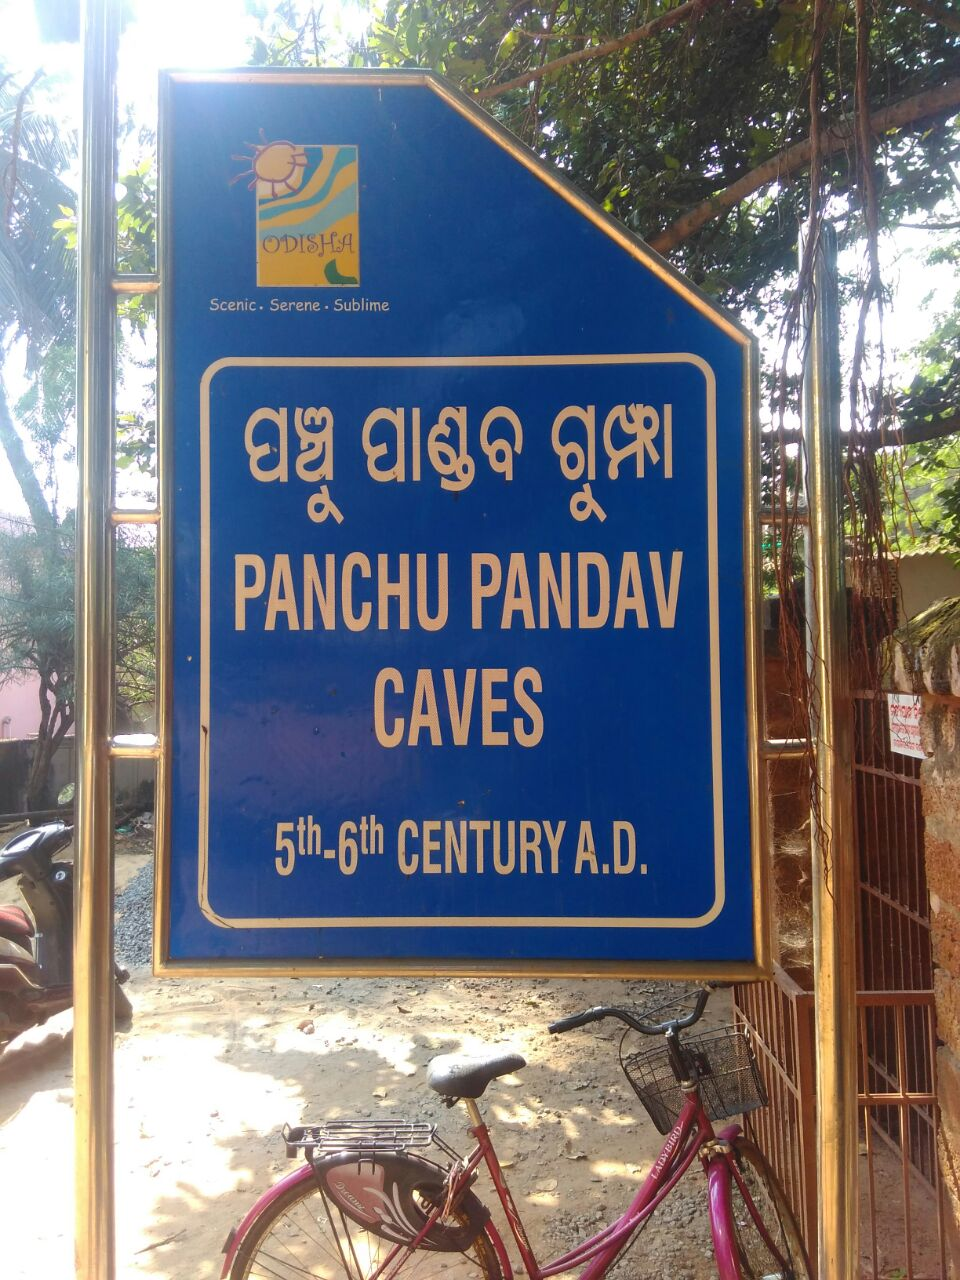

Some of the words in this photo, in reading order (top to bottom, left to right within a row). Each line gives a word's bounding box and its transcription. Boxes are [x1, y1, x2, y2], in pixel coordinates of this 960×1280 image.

[259, 224, 356, 259] ODISHA
[206, 298, 260, 315] Scenic
[269, 299, 321, 314] Serene
[331, 298, 393, 316] Sublime
[236, 393, 348, 531] ପଞ୍ଚୁ
[356, 399, 526, 497] ପାଣ୍ଡବ
[547, 394, 676, 531] ଗୁମ୍ଫା
[226, 543, 451, 637] PANCHU
[466, 547, 687, 633] PANDAV
[367, 662, 549, 751] CAVES
[265, 812, 346, 884] 5th-
[327, 812, 393, 880] 6th
[393, 814, 570, 881] CENTURY
[570, 813, 654, 879] A.D.